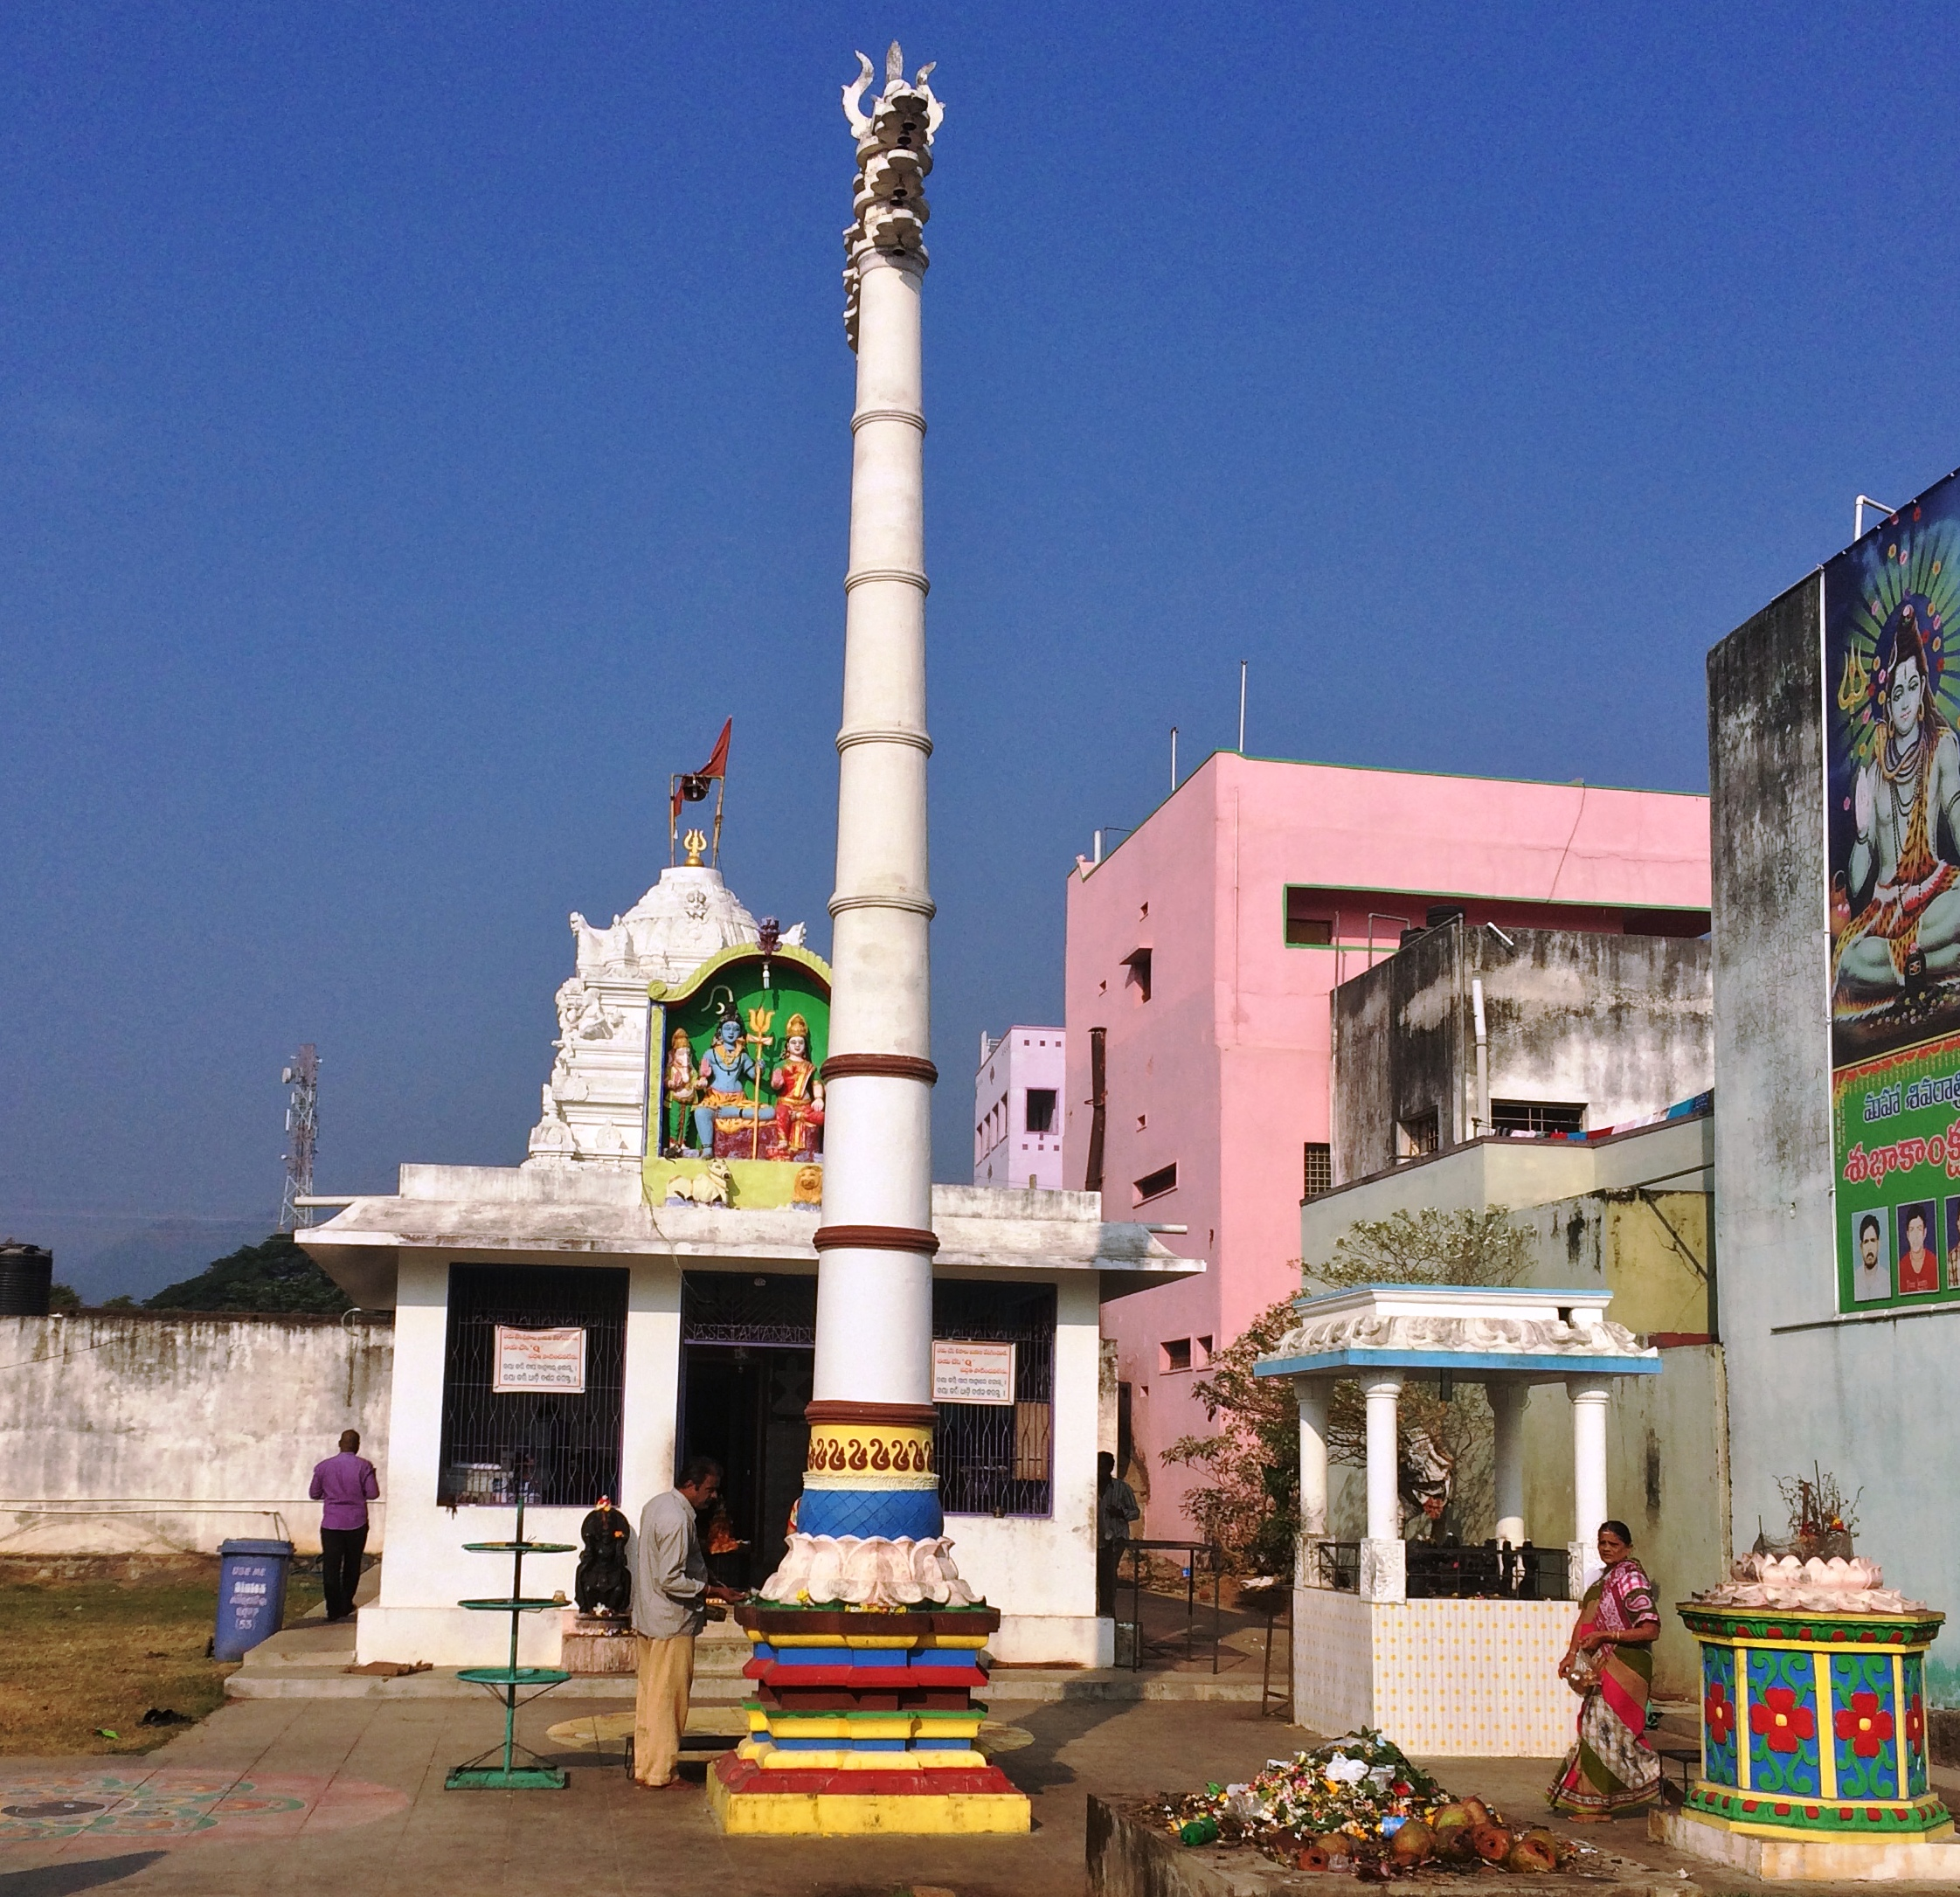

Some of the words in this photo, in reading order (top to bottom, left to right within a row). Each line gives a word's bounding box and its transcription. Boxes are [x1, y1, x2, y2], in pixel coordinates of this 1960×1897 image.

[1858, 1077, 1907, 1126] మహా
[1840, 1113, 1958, 1190] శుభాకాంక్ష